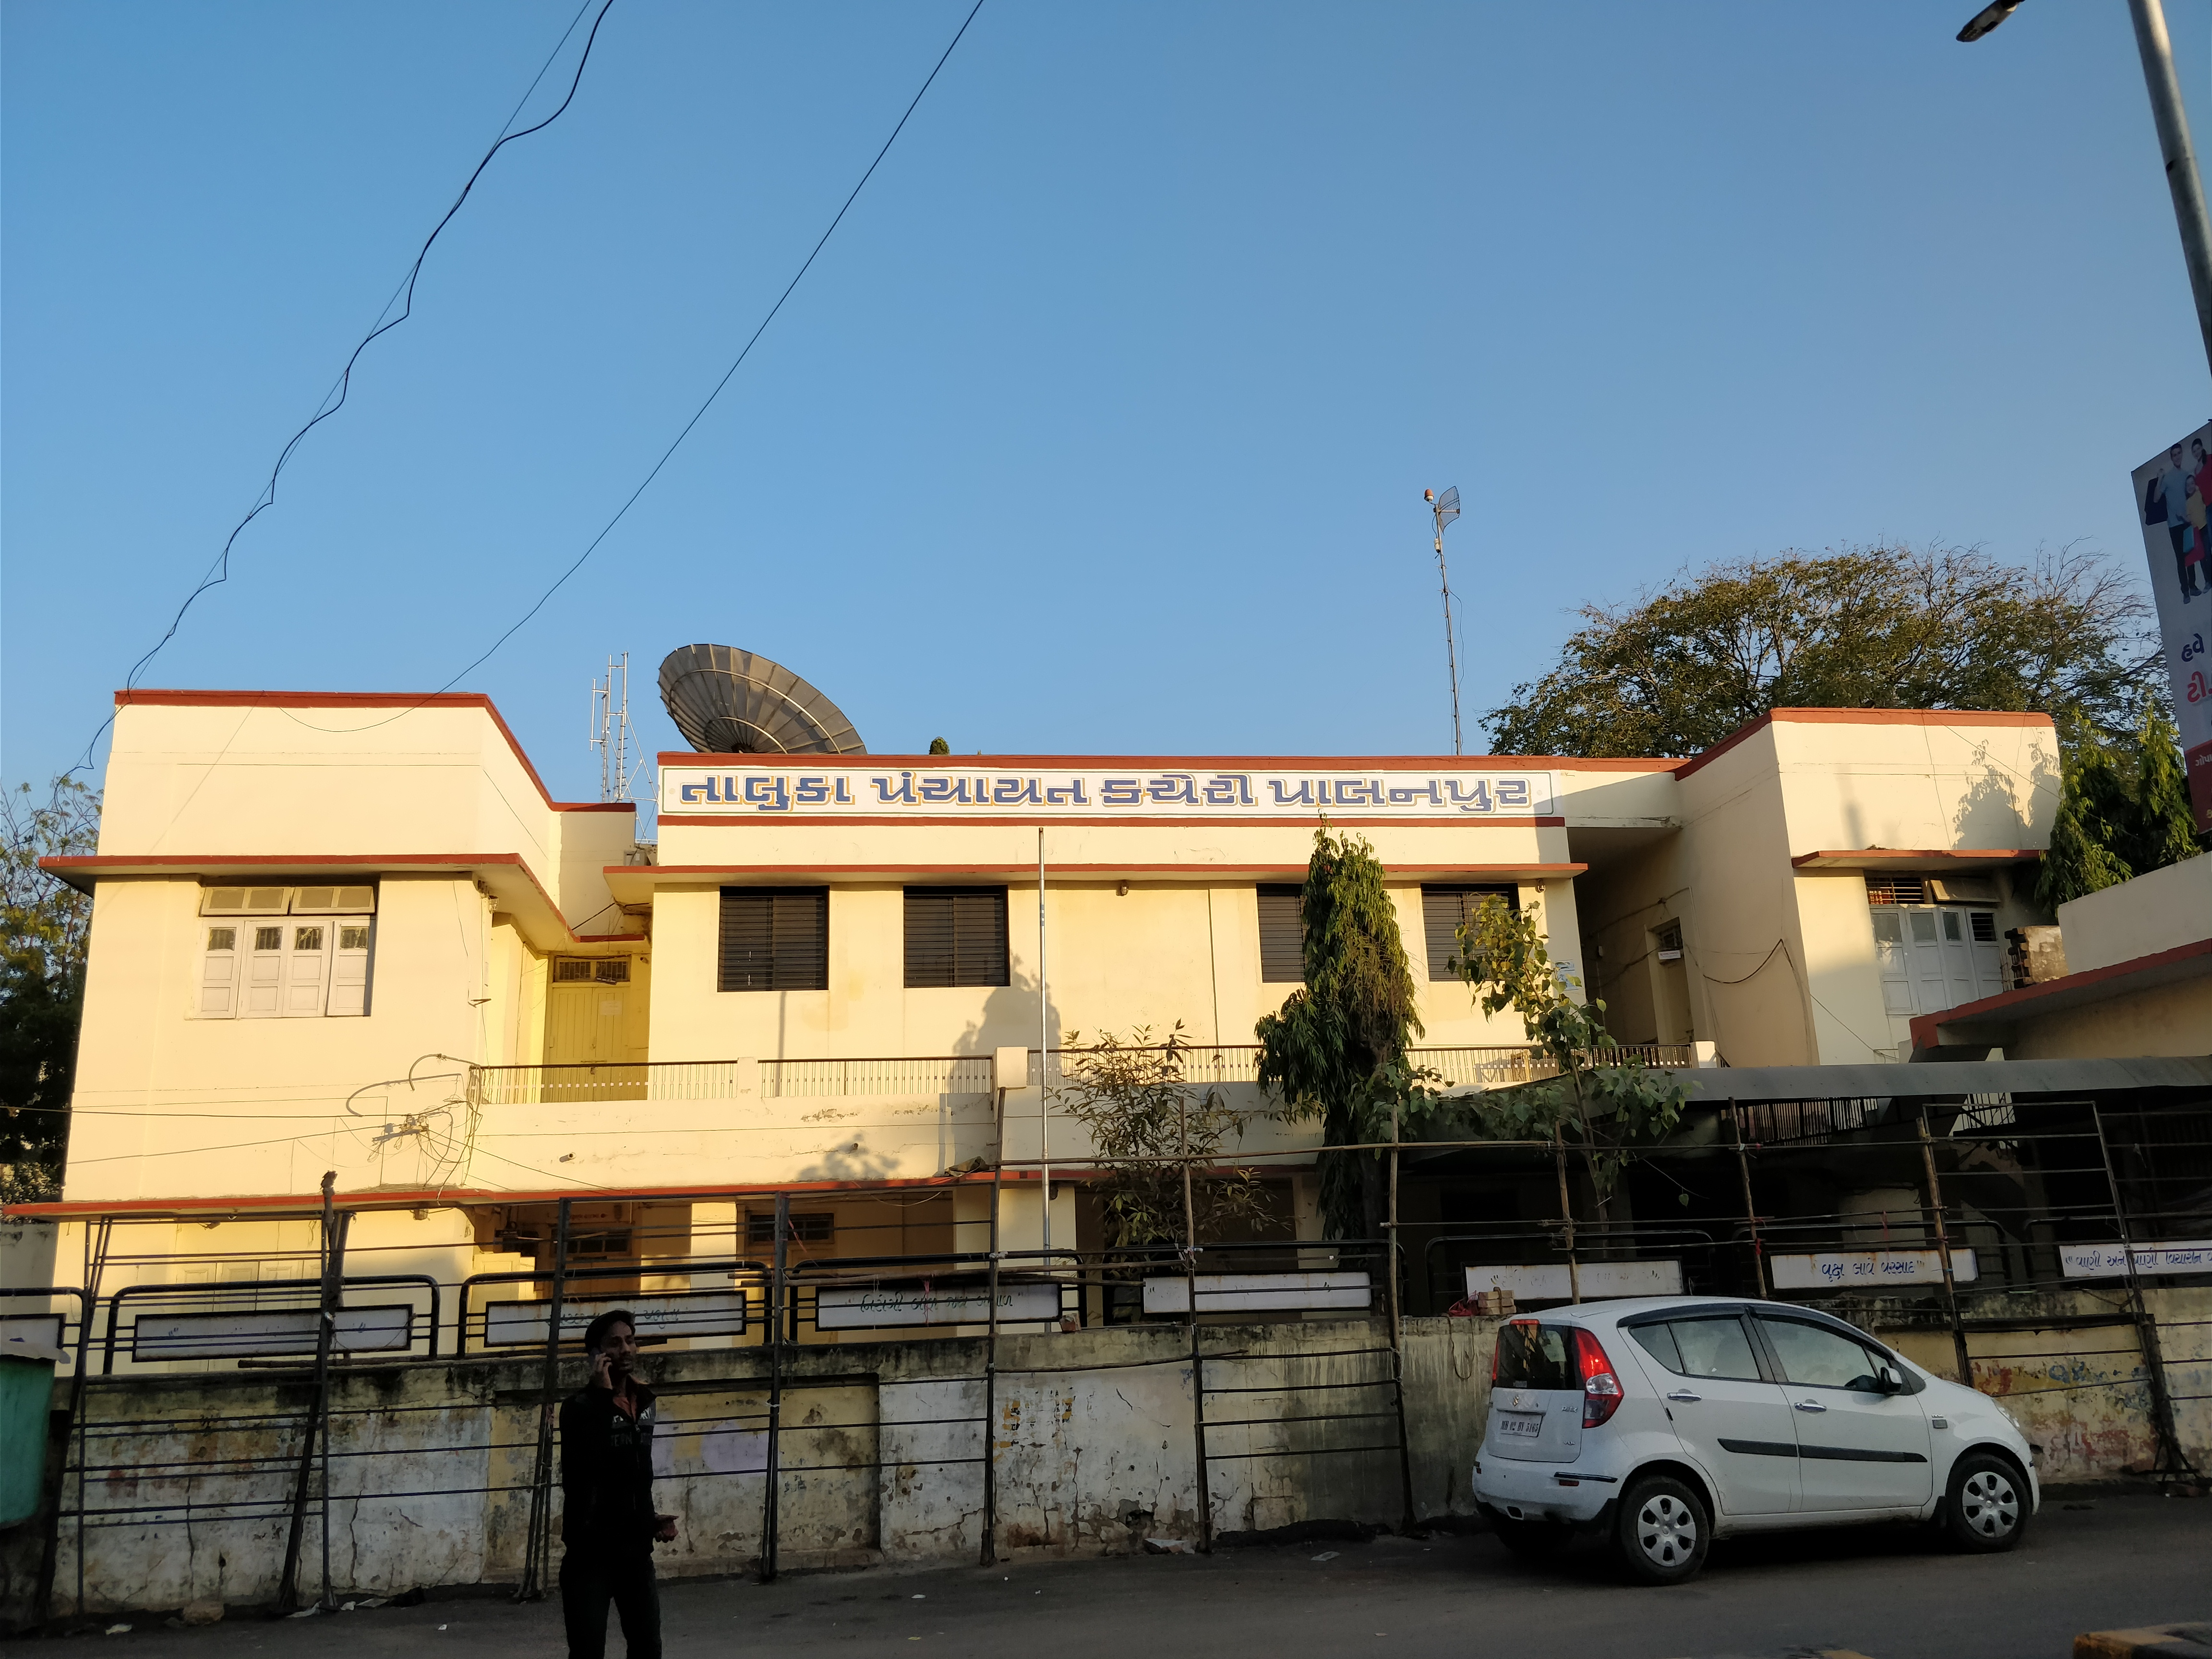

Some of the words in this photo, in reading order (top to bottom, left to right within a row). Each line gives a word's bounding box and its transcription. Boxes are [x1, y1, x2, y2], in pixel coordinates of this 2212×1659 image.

[2176, 626, 2209, 669] હવે
[2183, 670, 2211, 708] ટી.
[2192, 752, 2211, 768] ગોપા
[671, 772, 860, 810] તાલુકા
[866, 769, 1094, 811] પંચાયત
[1097, 772, 1262, 811] કચેરી
[1266, 770, 1542, 813] પાલનપુર
[1815, 1260, 1851, 1284] વૃક્ષ
[1848, 1258, 1878, 1279] લાવે
[1876, 1259, 1917, 1276] વરસાદ
[2070, 1246, 2105, 1275] વાણી
[2105, 1244, 2129, 1274] અને